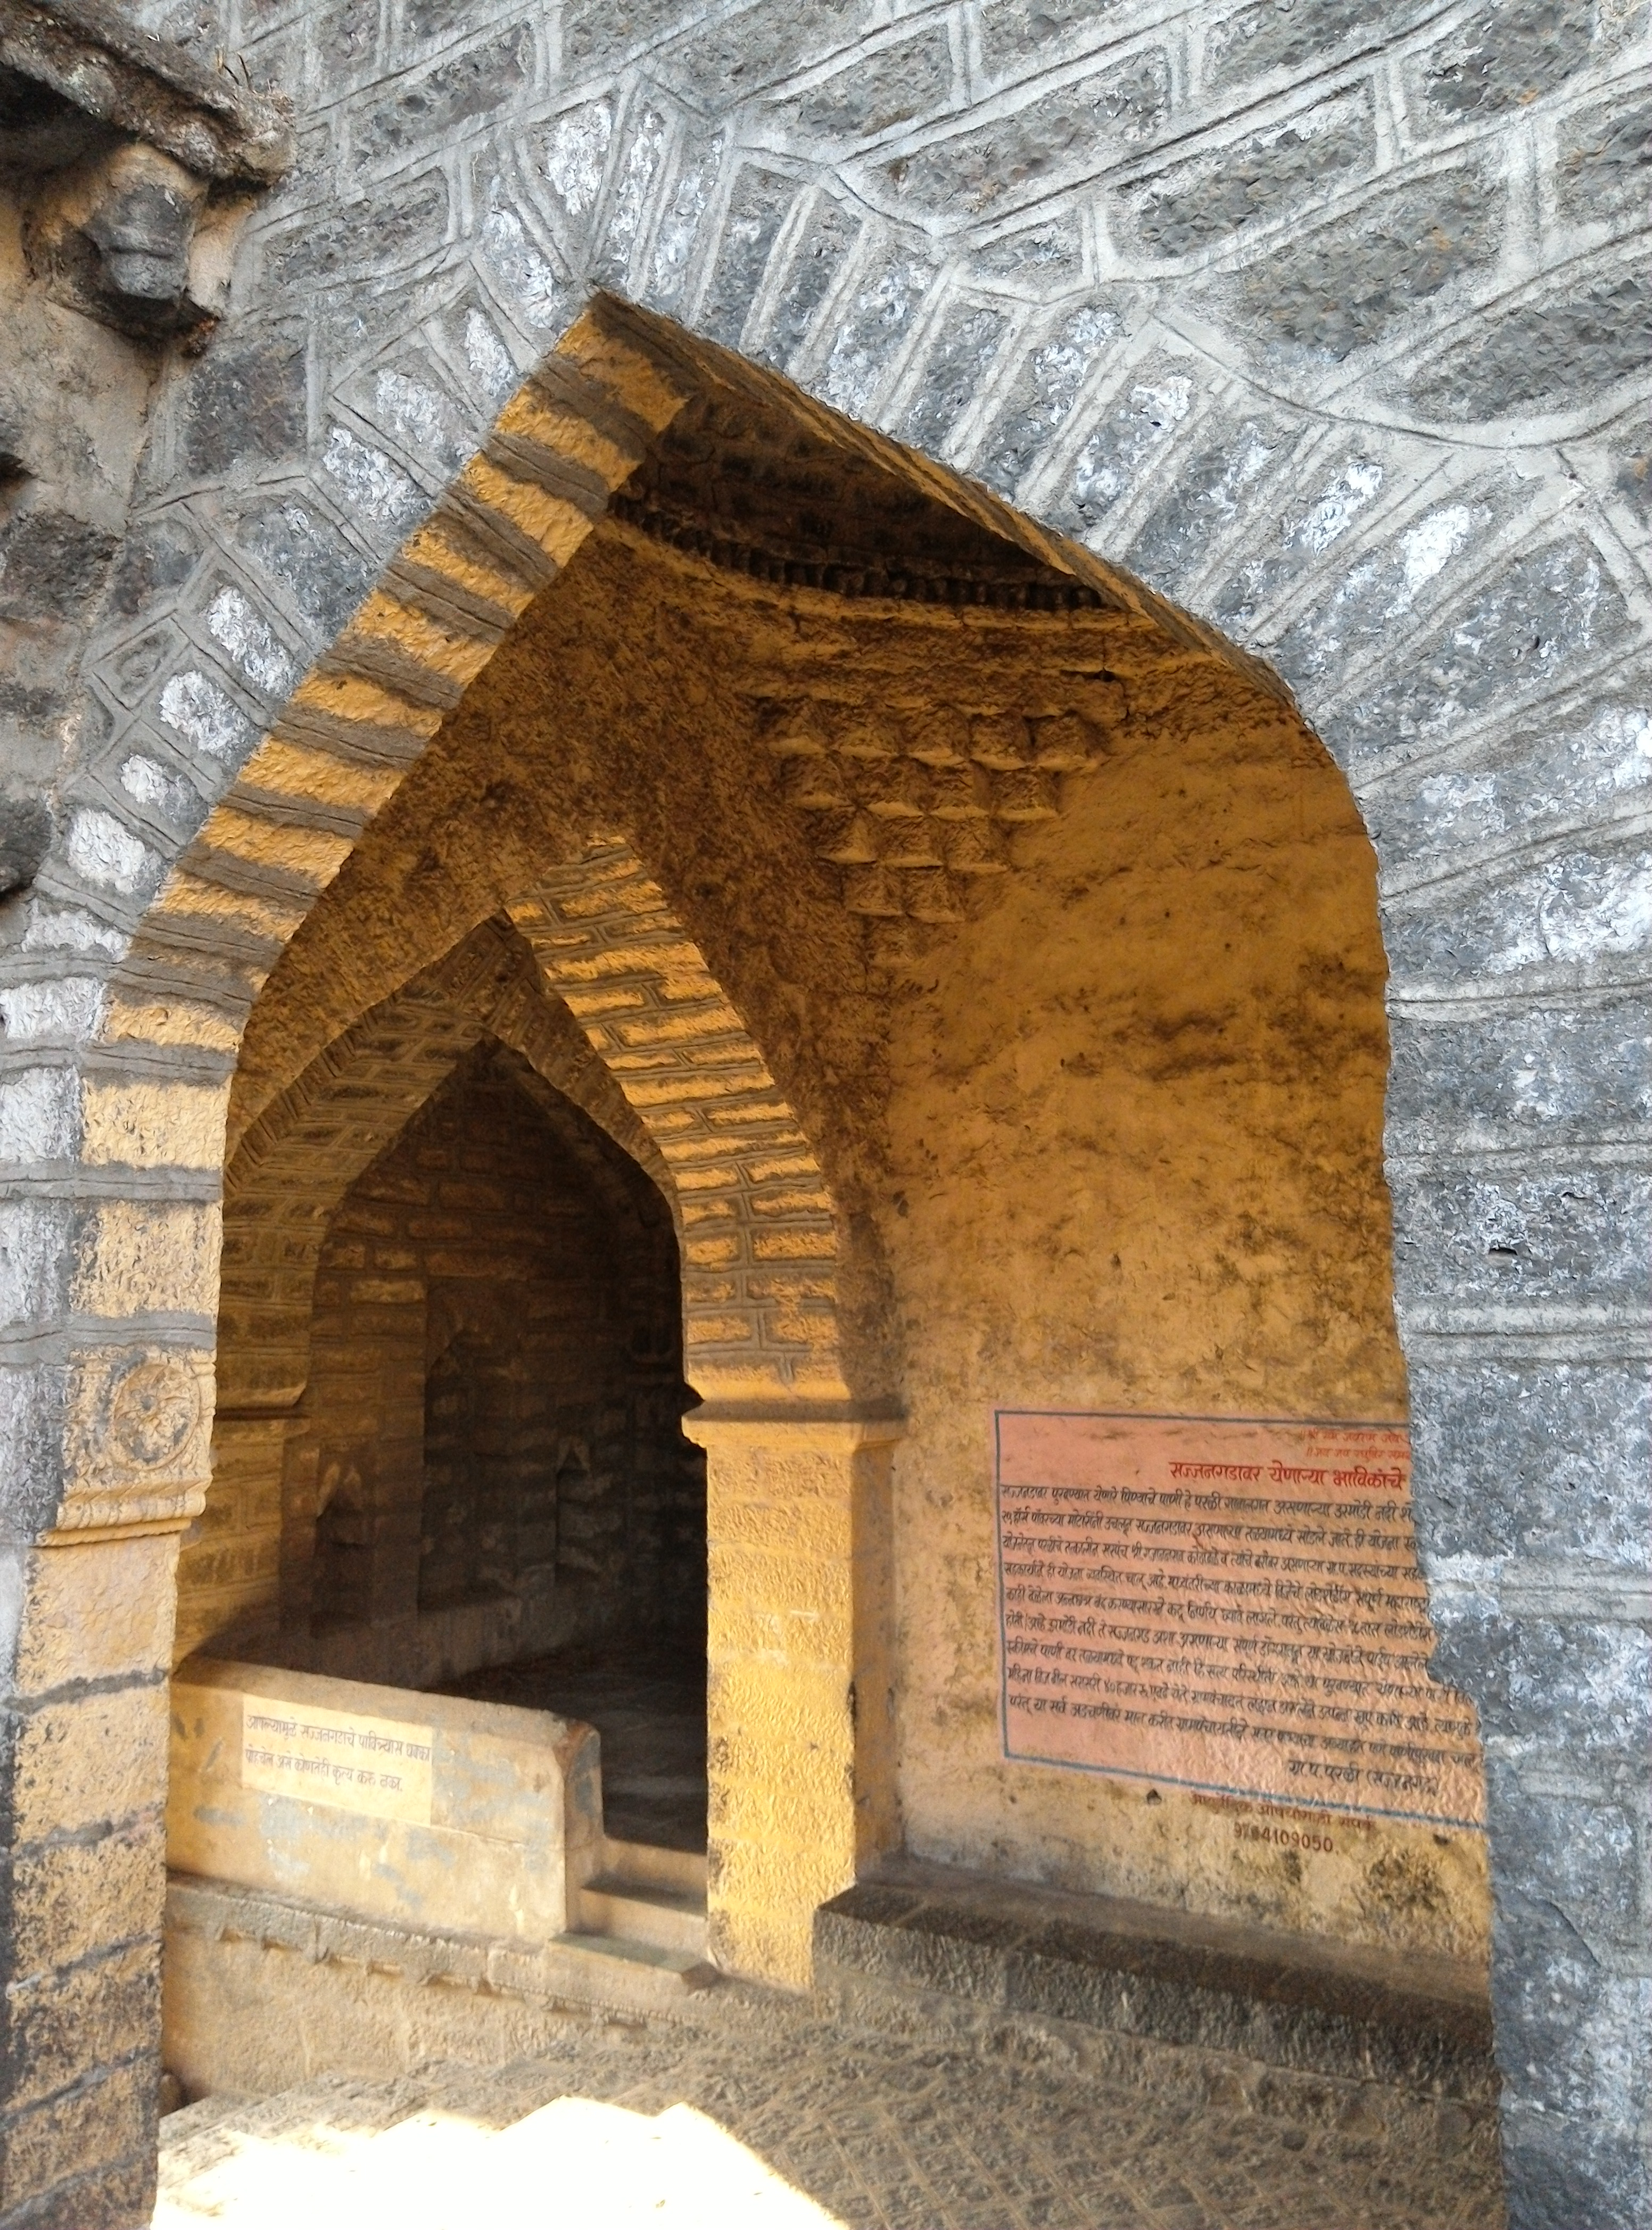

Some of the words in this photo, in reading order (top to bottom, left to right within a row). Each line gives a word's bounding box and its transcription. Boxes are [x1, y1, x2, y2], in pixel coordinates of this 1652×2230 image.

[1164, 1458, 1266, 1485] सज्जनगडावर
[1264, 1456, 1332, 1490] येणाऱ्या
[1331, 1463, 1410, 1493] भाविकांचे
[243, 1707, 300, 1741] आपल्यामुळे
[296, 1717, 358, 1750] सज्जनगडाचे
[356, 1724, 407, 1758] पावित्र्यास
[403, 1739, 434, 1767] धक्का
[329, 1761, 356, 1789] कृत्य
[352, 1768, 378, 1790] करु
[1226, 1820, 1343, 1862] 9784109050.